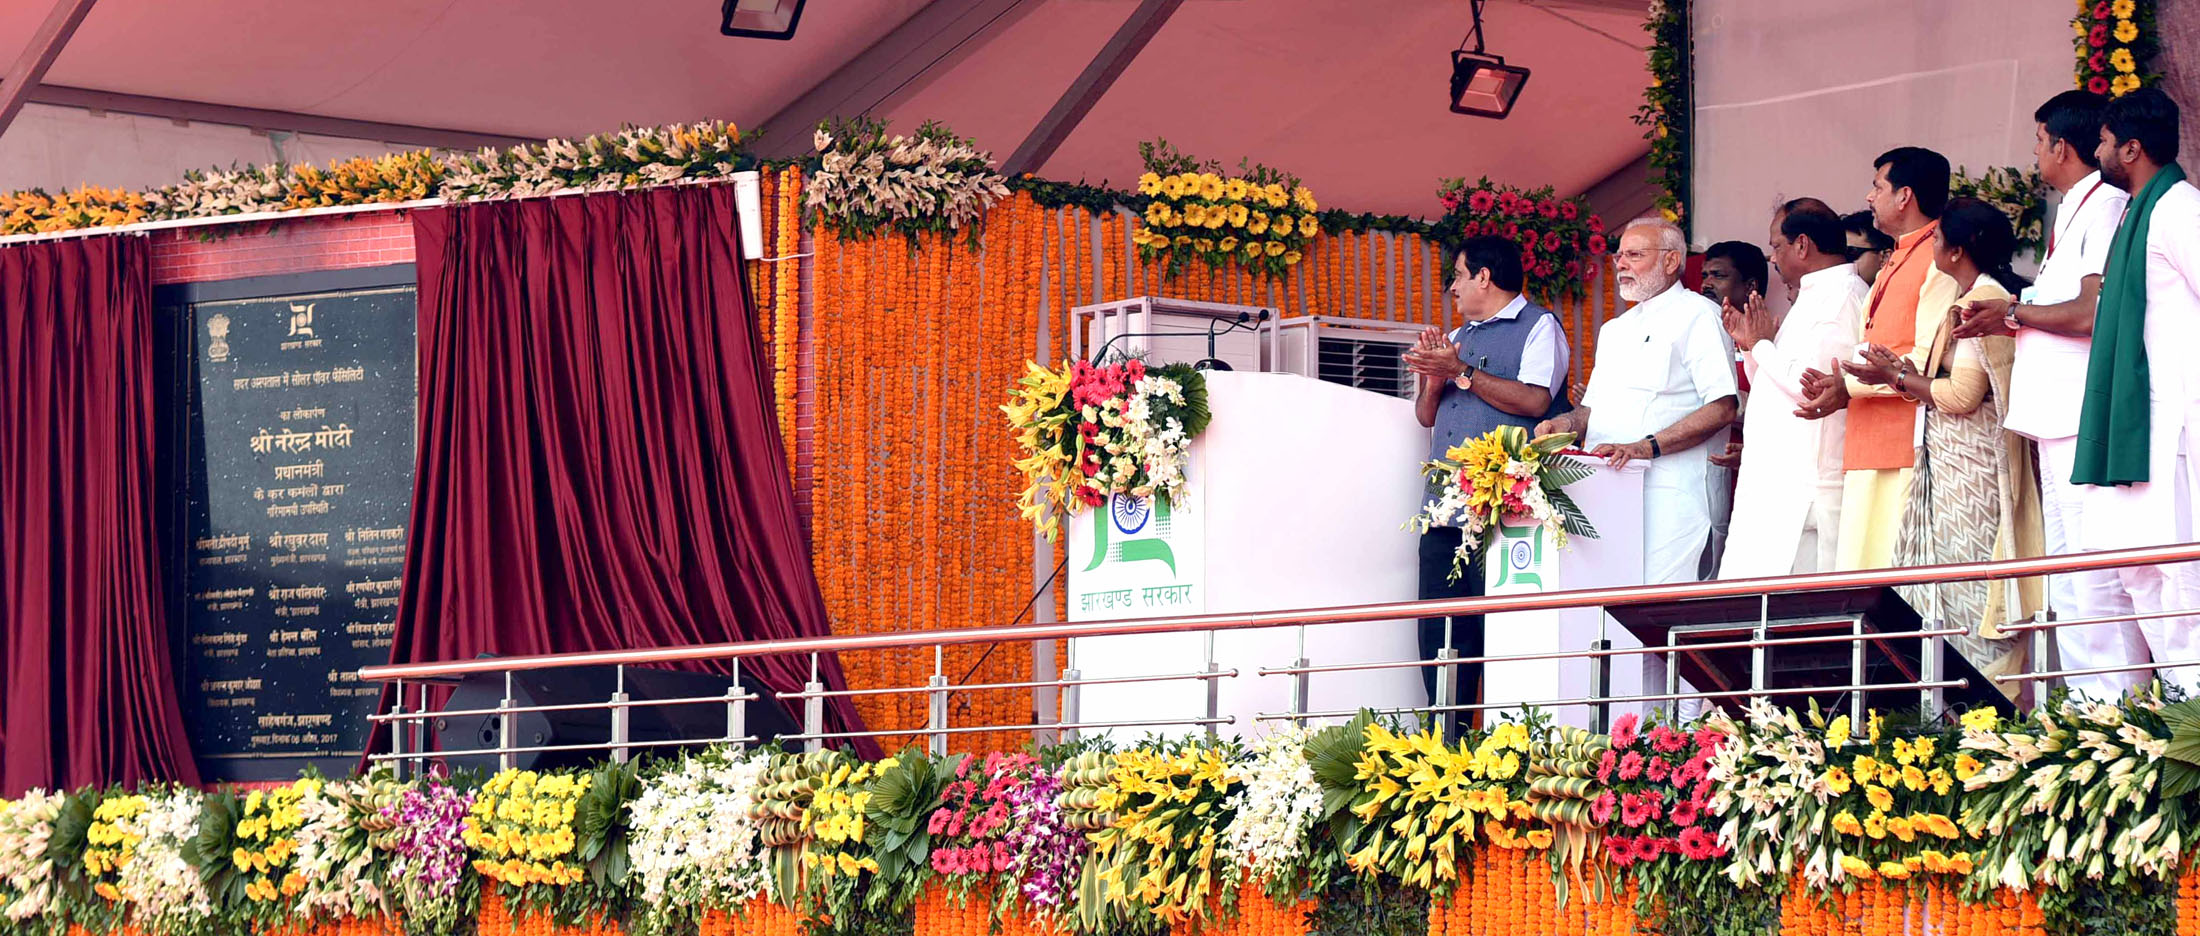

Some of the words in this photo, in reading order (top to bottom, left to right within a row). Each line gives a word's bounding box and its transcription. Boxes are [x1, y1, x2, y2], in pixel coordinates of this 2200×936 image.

[231, 375, 252, 393] सदर
[247, 372, 283, 391] अस्पताल
[275, 368, 292, 391] में।
[286, 366, 314, 387] सोलर
[306, 367, 333, 385] पॉवर
[326, 362, 368, 384] फेसिलिटी
[275, 407, 293, 422] का
[292, 403, 328, 423] लोकार्पण
[242, 425, 275, 457] श्री
[272, 424, 317, 456] नरेन्द्र
[310, 420, 357, 453] मोदी
[271, 453, 327, 483] प्रधानमंत्री
[249, 483, 266, 504] के
[264, 485, 287, 503] कर
[281, 481, 321, 501] कमंलों
[318, 482, 349, 499] द्वारा
[263, 498, 301, 520] गरिमामयी
[298, 497, 333, 519] उपस्थिति
[190, 528, 255, 553] श्रीमतीद्वौपदीमुर्मू
[264, 528, 285, 555] श्री
[279, 531, 310, 554] रघुवर
[306, 530, 332, 552] दास
[341, 524, 358, 544] श्री
[352, 523, 383, 543] नितिन
[376, 520, 406, 543] गडकरी
[265, 580, 283, 603] श्री
[275, 586, 297, 602] राज
[289, 577, 331, 603] पलिर्वार:
[1076, 581, 1136, 616] झारखण्ड
[1140, 584, 1192, 609] सरकार